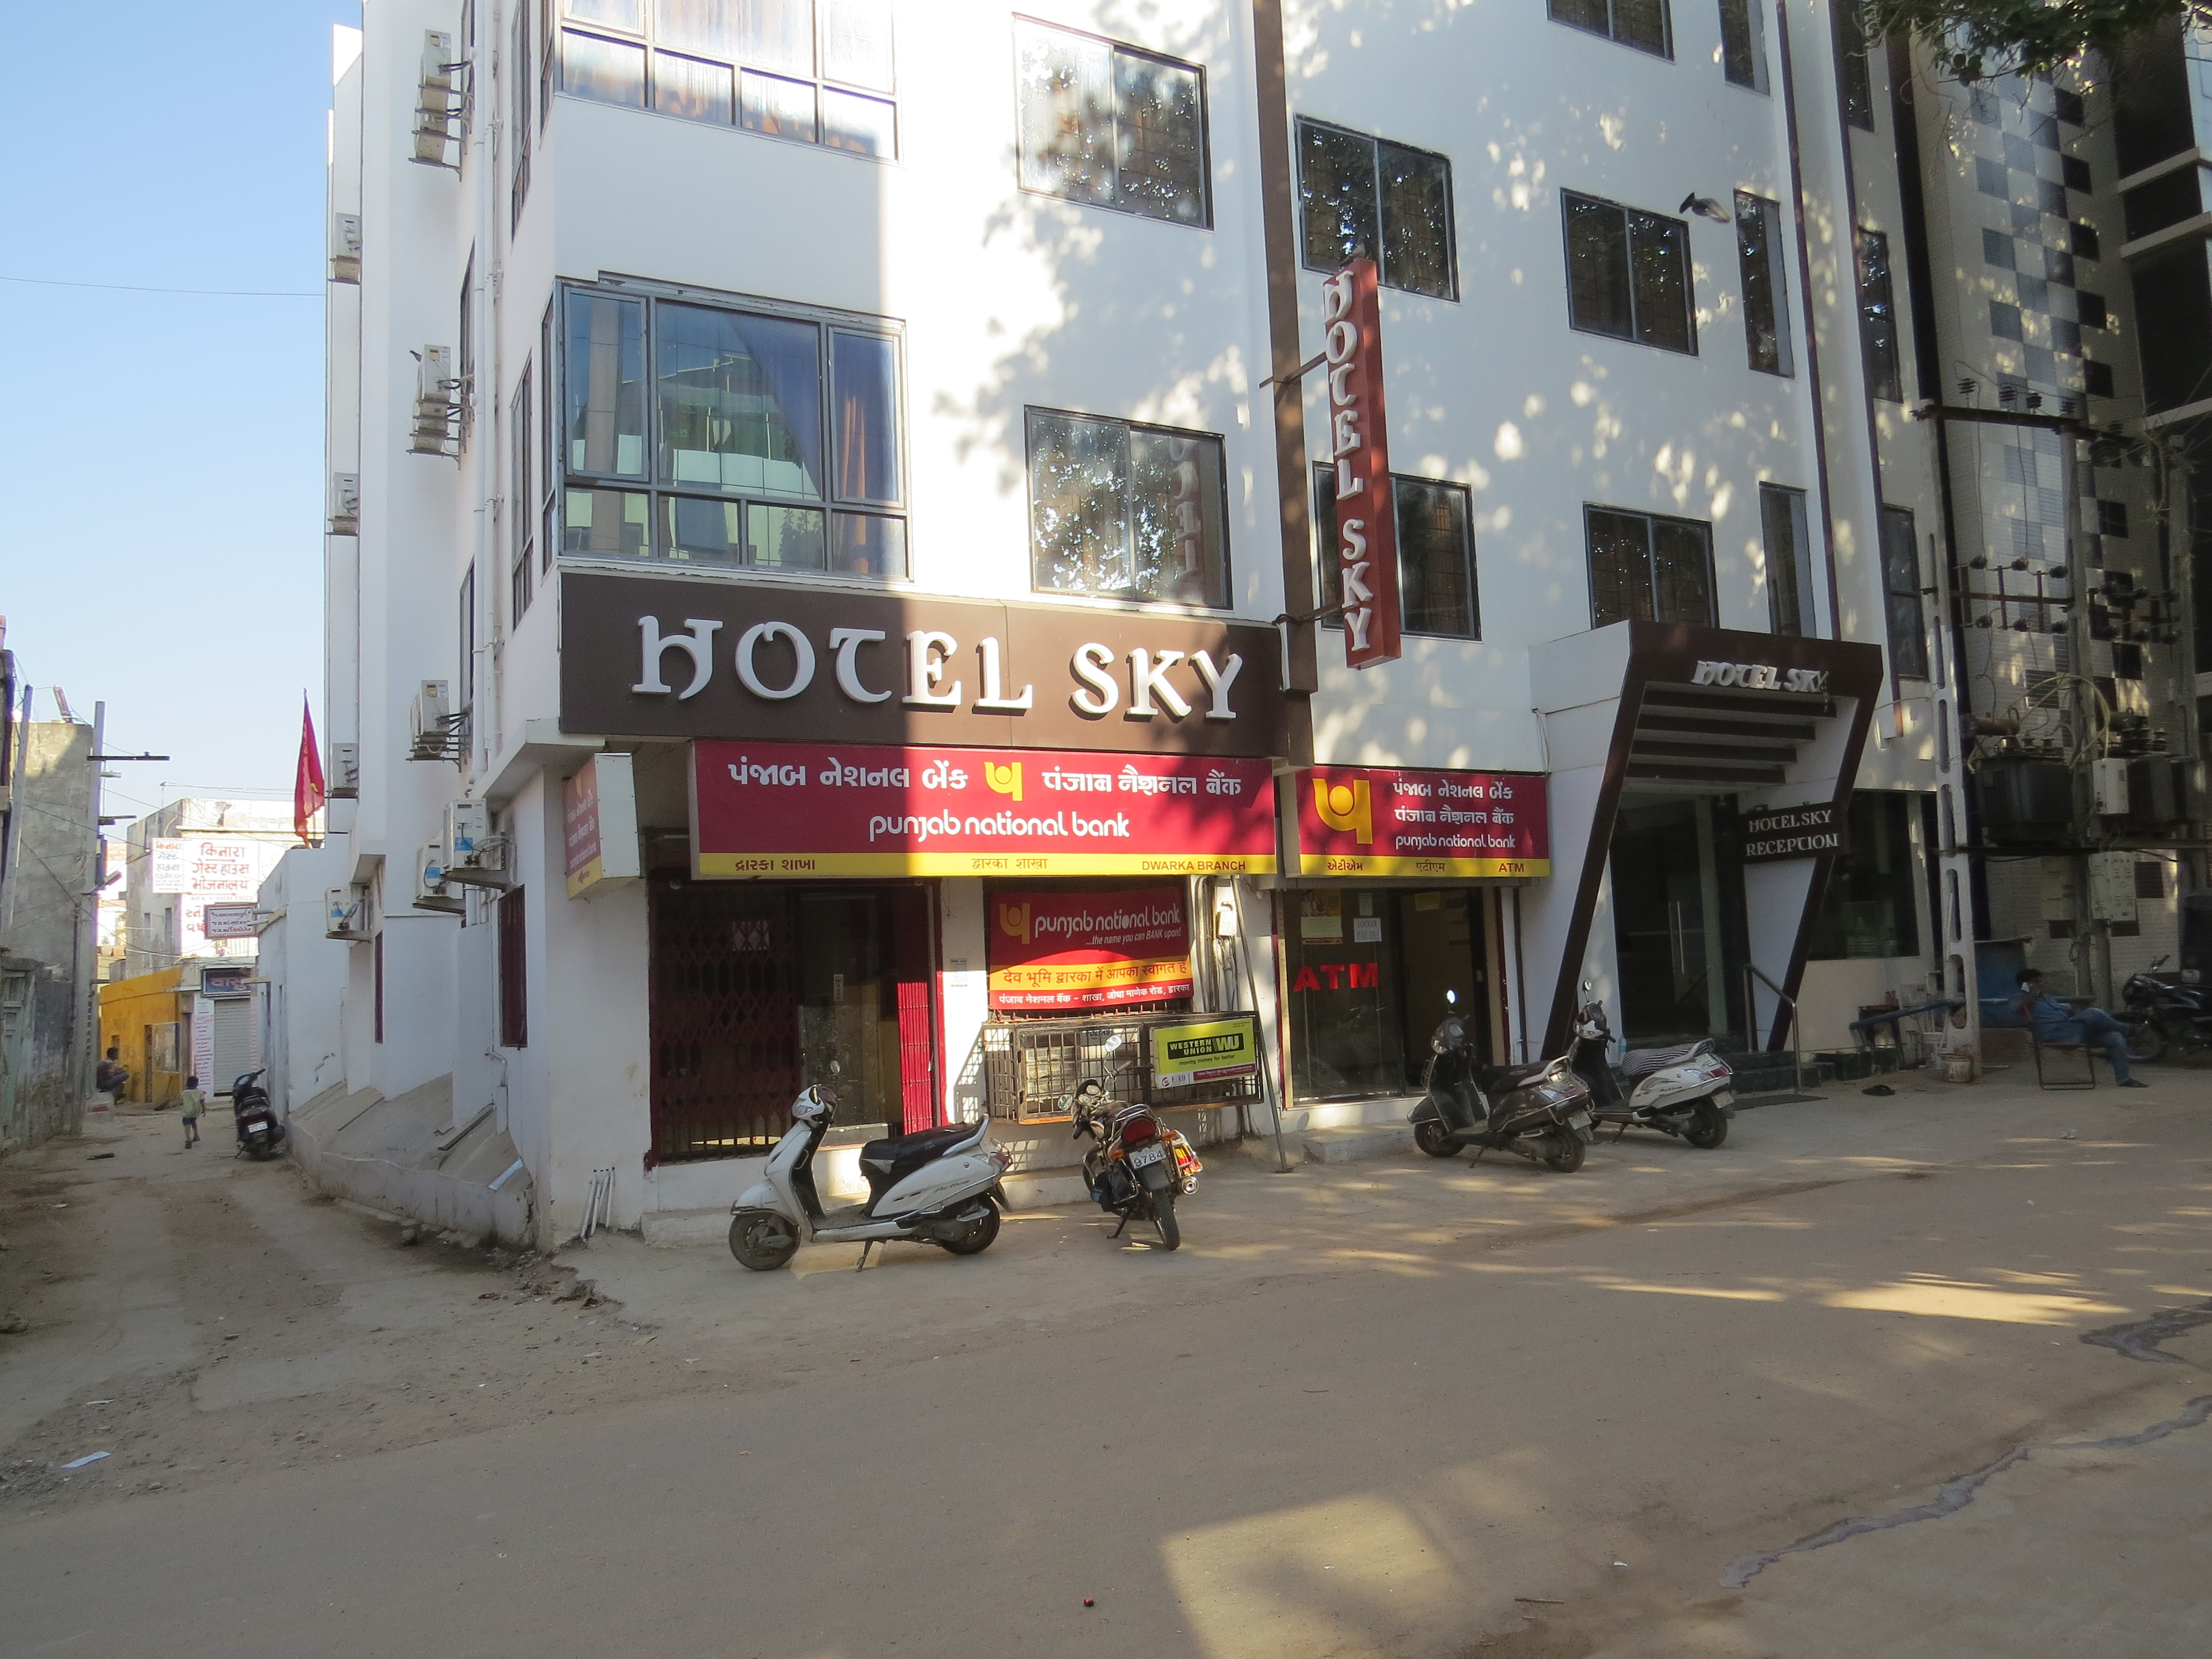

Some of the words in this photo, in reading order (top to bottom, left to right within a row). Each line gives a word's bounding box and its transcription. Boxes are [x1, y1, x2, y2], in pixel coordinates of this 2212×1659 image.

[1319, 261, 1376, 515] HOTEL
[1336, 511, 1383, 665] SKY
[620, 605, 1042, 722] HOTEL
[1061, 633, 1251, 728] SKY
[1683, 654, 1785, 695] HOTEL
[1782, 662, 1833, 697] SKY
[720, 750, 811, 792] પંજાબ
[916, 755, 972, 796] બેંક
[1037, 763, 1115, 797] पंजाब
[1115, 761, 1201, 799] नैशनल
[1202, 764, 1247, 798] बैंक
[1486, 778, 1516, 801] બેંક
[864, 806, 963, 848] punjab
[963, 810, 1072, 839] national
[1068, 807, 1135, 842] bank
[1390, 802, 1438, 825] पंजाब
[1438, 800, 1490, 828] नैशनल
[1489, 804, 1519, 826] बैंक
[1745, 811, 1800, 834] HOTEL
[1798, 806, 1834, 826] SKY
[194, 839, 249, 859] किनारा
[1392, 830, 1438, 853] punjab
[1436, 832, 1488, 849] national
[1486, 831, 1519, 851] bank
[1740, 829, 1841, 859] RECEPTION
[189, 856, 218, 877] गेस्ट
[217, 860, 252, 879] हाउस
[732, 853, 778, 874] द्रा२$|
[965, 855, 1012, 874] द्वारका
[1013, 854, 1050, 873] शाखा
[1138, 858, 1197, 874] DWARKA
[1194, 858, 1248, 874] BRANCH
[1413, 858, 1449, 874] एटीएम
[1494, 862, 1527, 874] ATM
[186, 874, 252, 893] भोजनालय
[1031, 906, 1094, 942] punjab
[1083, 932, 1104, 948] ...the
[1103, 933, 1122, 945] name
[1094, 903, 1151, 932] national
[1121, 932, 1135, 946] you
[1133, 930, 1146, 942] can
[1145, 926, 1165, 942] BANK
[1150, 900, 1183, 927] bank
[1164, 925, 1184, 941] upon!
[1001, 964, 1026, 987] देव
[1024, 966, 1053, 988] भूमि
[1053, 969, 1094, 985] द्वारका
[1093, 964, 1105, 983] में
[1105, 964, 1140, 981] आपका
[1139, 961, 1177, 978] स्वागत
[1176, 956, 1190, 976] हैं
[1288, 957, 1385, 997] ATM
[996, 992, 1025, 1005] पंजाव
[1024, 990, 1055, 1005] नेशनल
[1055, 990, 1073, 1005] बैंक
[1079, 990, 1106, 1004] शाखा,
[1105, 987, 1126, 1000] जोधा
[1125, 984, 1150, 998] माणेक
[1147, 982, 1167, 996] रोड,
[1165, 982, 1191, 995] द्वारका
[1167, 1038, 1213, 1051] WESTERN
[1182, 1045, 1213, 1056] UNION
[1212, 1034, 1242, 1053] WU
[1131, 1148, 1167, 1170] 9784